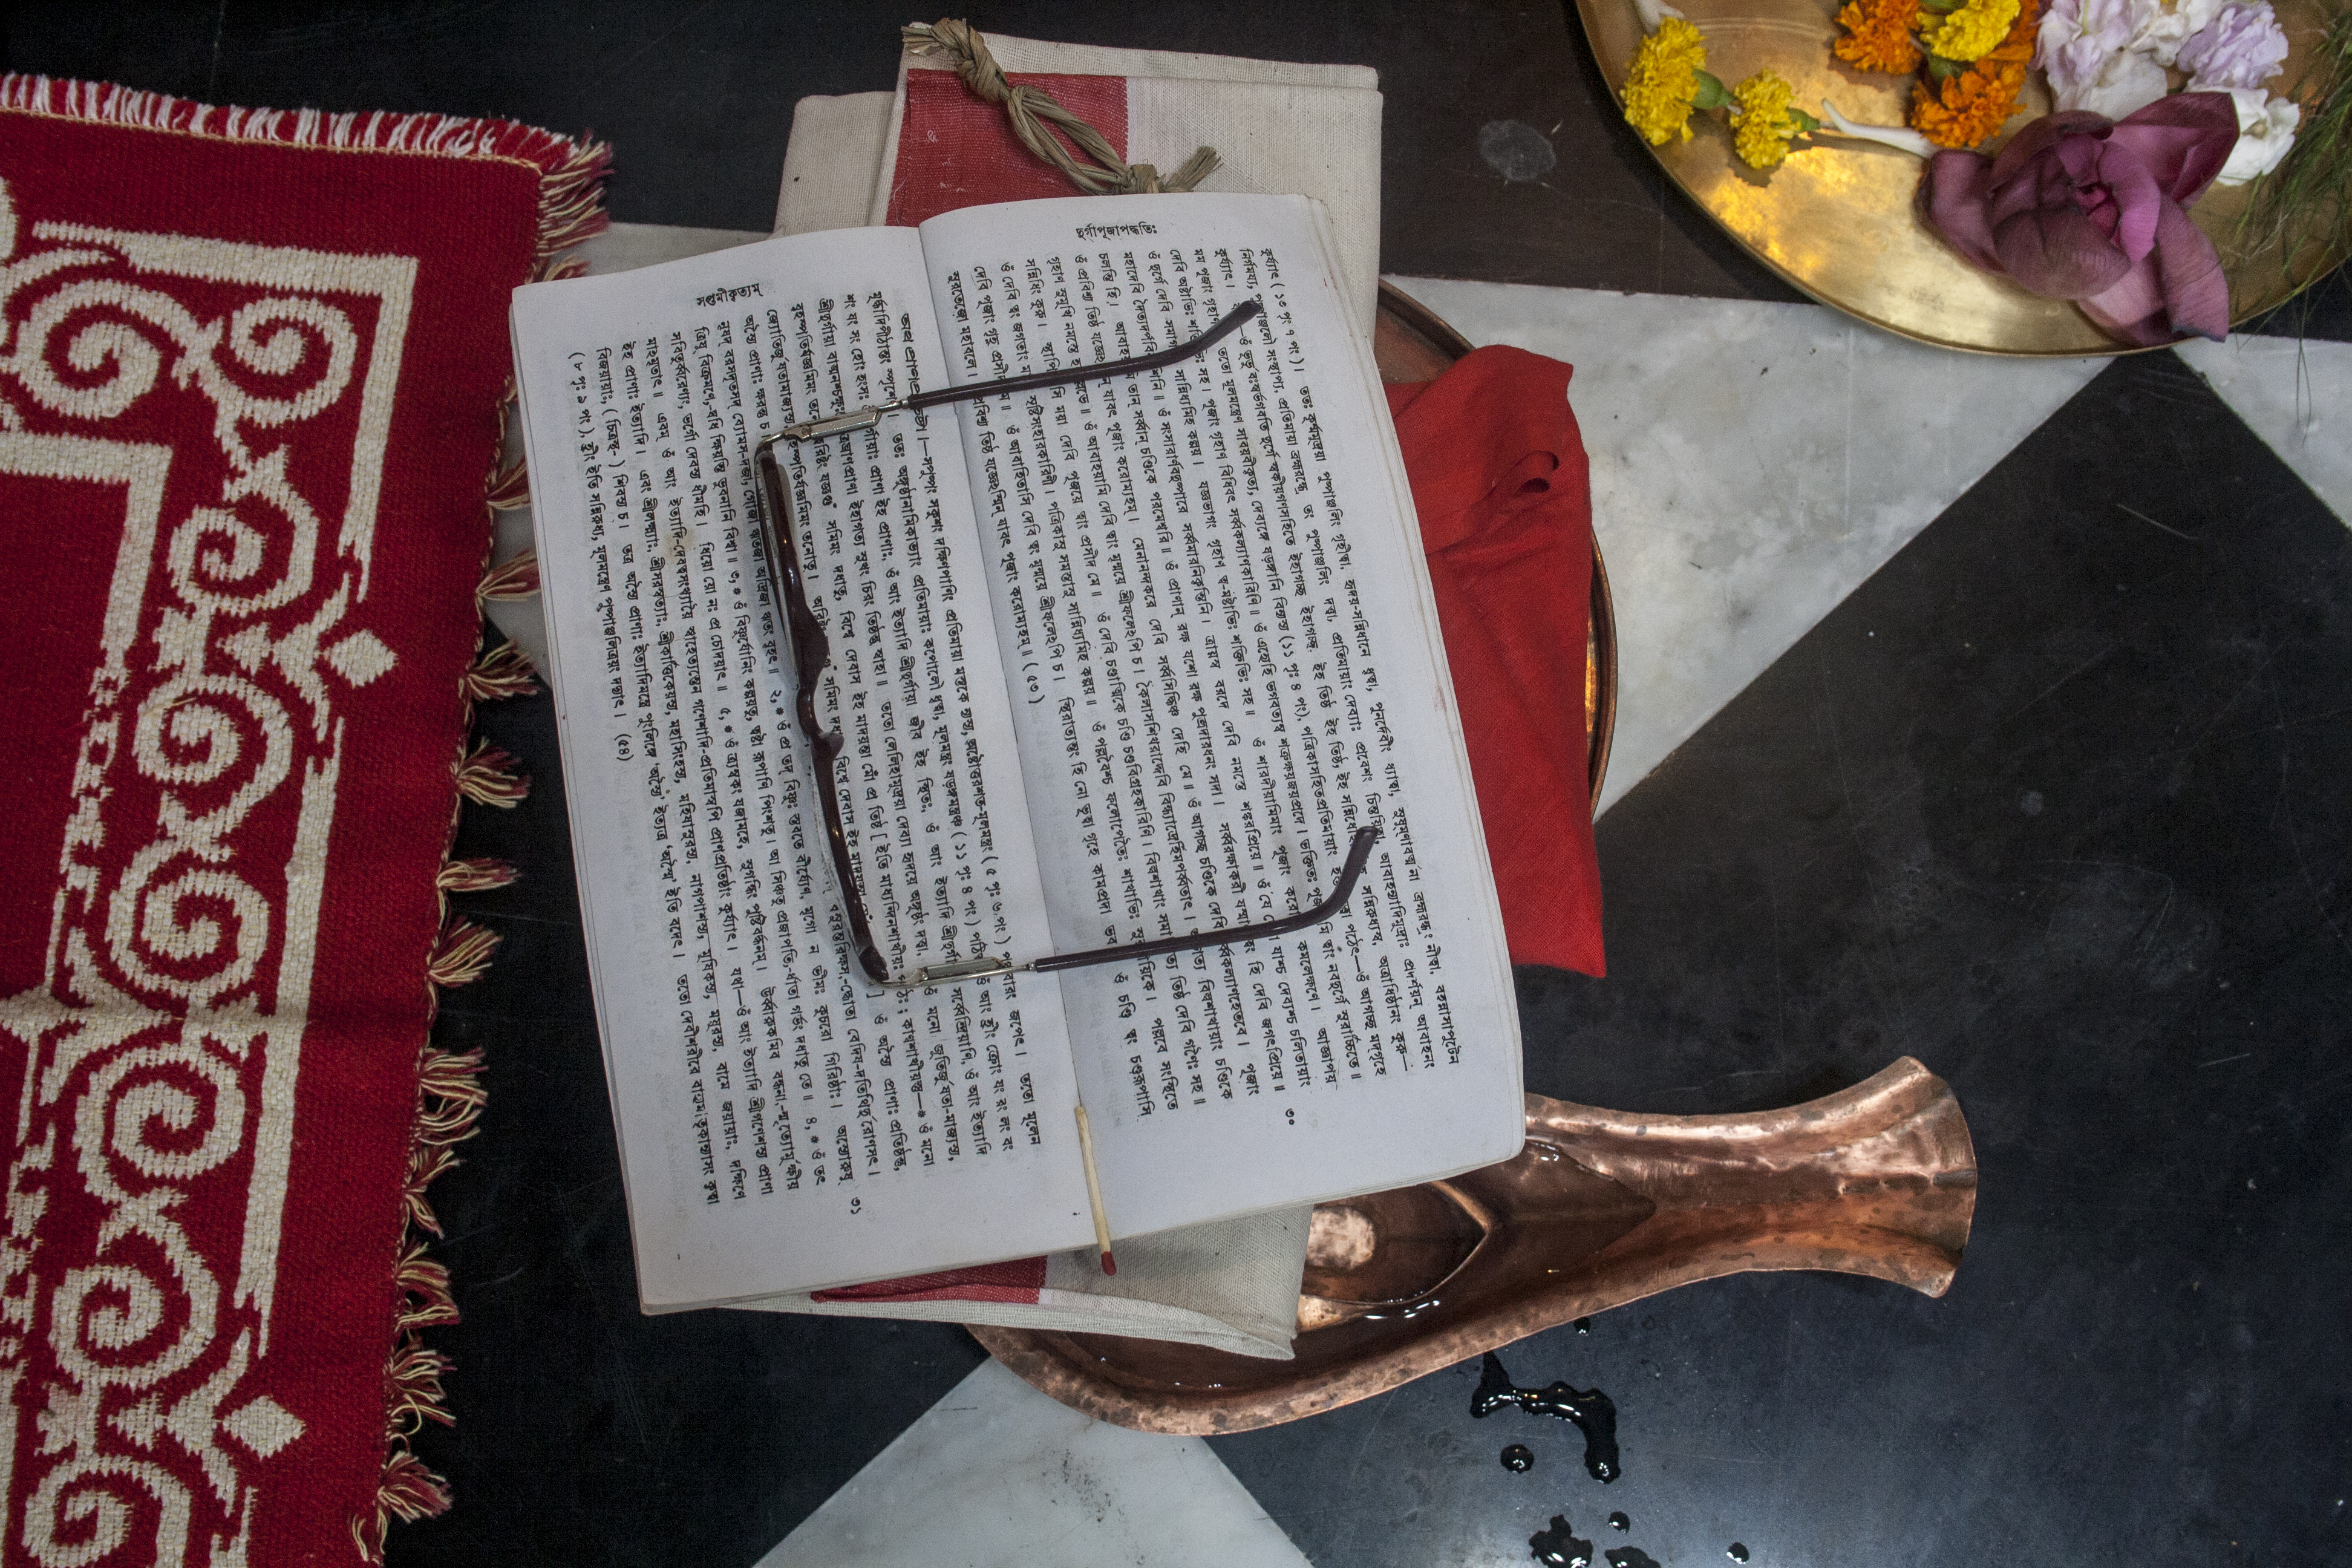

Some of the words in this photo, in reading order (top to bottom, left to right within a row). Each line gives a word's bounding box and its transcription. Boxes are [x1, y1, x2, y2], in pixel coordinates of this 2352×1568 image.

[518, 346, 629, 396] হই বিজয়ায়া (৮ পৃঃ
[567, 317, 635, 356] ই
[630, 342, 675, 374] নাহমৃত
[671, 332, 715, 367] ত্রষু বি সবিতুল
[670, 265, 740, 311] সপ্তমীকৃত
[704, 342, 774, 385] বরসদৃত প্রাণাঃ
[754, 316, 796, 345] জ্যোতি
[733, 255, 840, 296] কত্যম্
[746, 279, 841, 321] জে ম্ বৃহ শ্রীপু
[796, 296, 864, 340] বৃহস্পতি শ্রীদুর্গায় শং যং সহ
[808, 353, 863, 392] হাং হ বাত্মনশ
[819, 315, 899, 357] দুর্গায়া ষং সং দিপীঠাক
[938, 273, 980, 315] সুরতেজে
[939, 244, 1008, 282] দে সু
[945, 311, 1043, 359] হুং জগতাং জাং গৃহ প্র জা মহাবশে
[976, 261, 1039, 312] সন্নিধিং কুম ওঁ দেবি দেবি পূজ
[974, 334, 1062, 382] স্থাপি গতাং মা হু প্রসীদ
[1014, 273, 1090, 313] প্রবিণশ্য ণ সুমুতি রিধিং কুর
[1019, 248, 1094, 287] ওঁ প্রশি গৃহাণ সন্নিধি
[1051, 327, 1108, 365] যজ্ঞেই নমস্তে হ
[1056, 301, 1108, 347] তিষ্ঠ যতে মুখি নমতে
[535, 408, 615, 446] পং),
[550, 484, 604, 517] সন্নি
[584, 414, 673, 461] হীং চিত্রস্থ ত্যাদি। এবম্ ওঁ
[594, 469, 669, 511] শিবস্থ্য এবং শ্রী
[651, 380, 721, 416] মণে,- রেণ্যং,
[691, 478, 766, 518] , গোজ ভুবনানি ধীমহি
[676, 390, 794, 440] ক্ষরন্ত চ। চসদ্‌ ব্যোম ণে,-ঘধি শি শ্যং, ভর্গো
[732, 449, 795, 483] ল-দজা-
[777, 462, 871, 508] প্রাণা ই চং যজ্ঞগু পতির্যজ্ঞনি
[784, 430, 867, 465] হস্প হরিষ্ট
[790, 371, 918, 416] স্পৃশে হংসঃ অনশ্চক্ষুঃ মিমং তনে
[858, 450, 926, 483] তঃ অস প্রা
[866, 417, 921, 456] তত
[1013, 391, 1056, 427] সৃষ্টিস
[1059, 382, 1120, 417] প্রভে ॥ যাবৎ
[1055, 407, 1128, 445] বৎ পূজা ॥ ওঁ অ ময়া দে
[580, 531, 656, 567] তত্র , মূলম